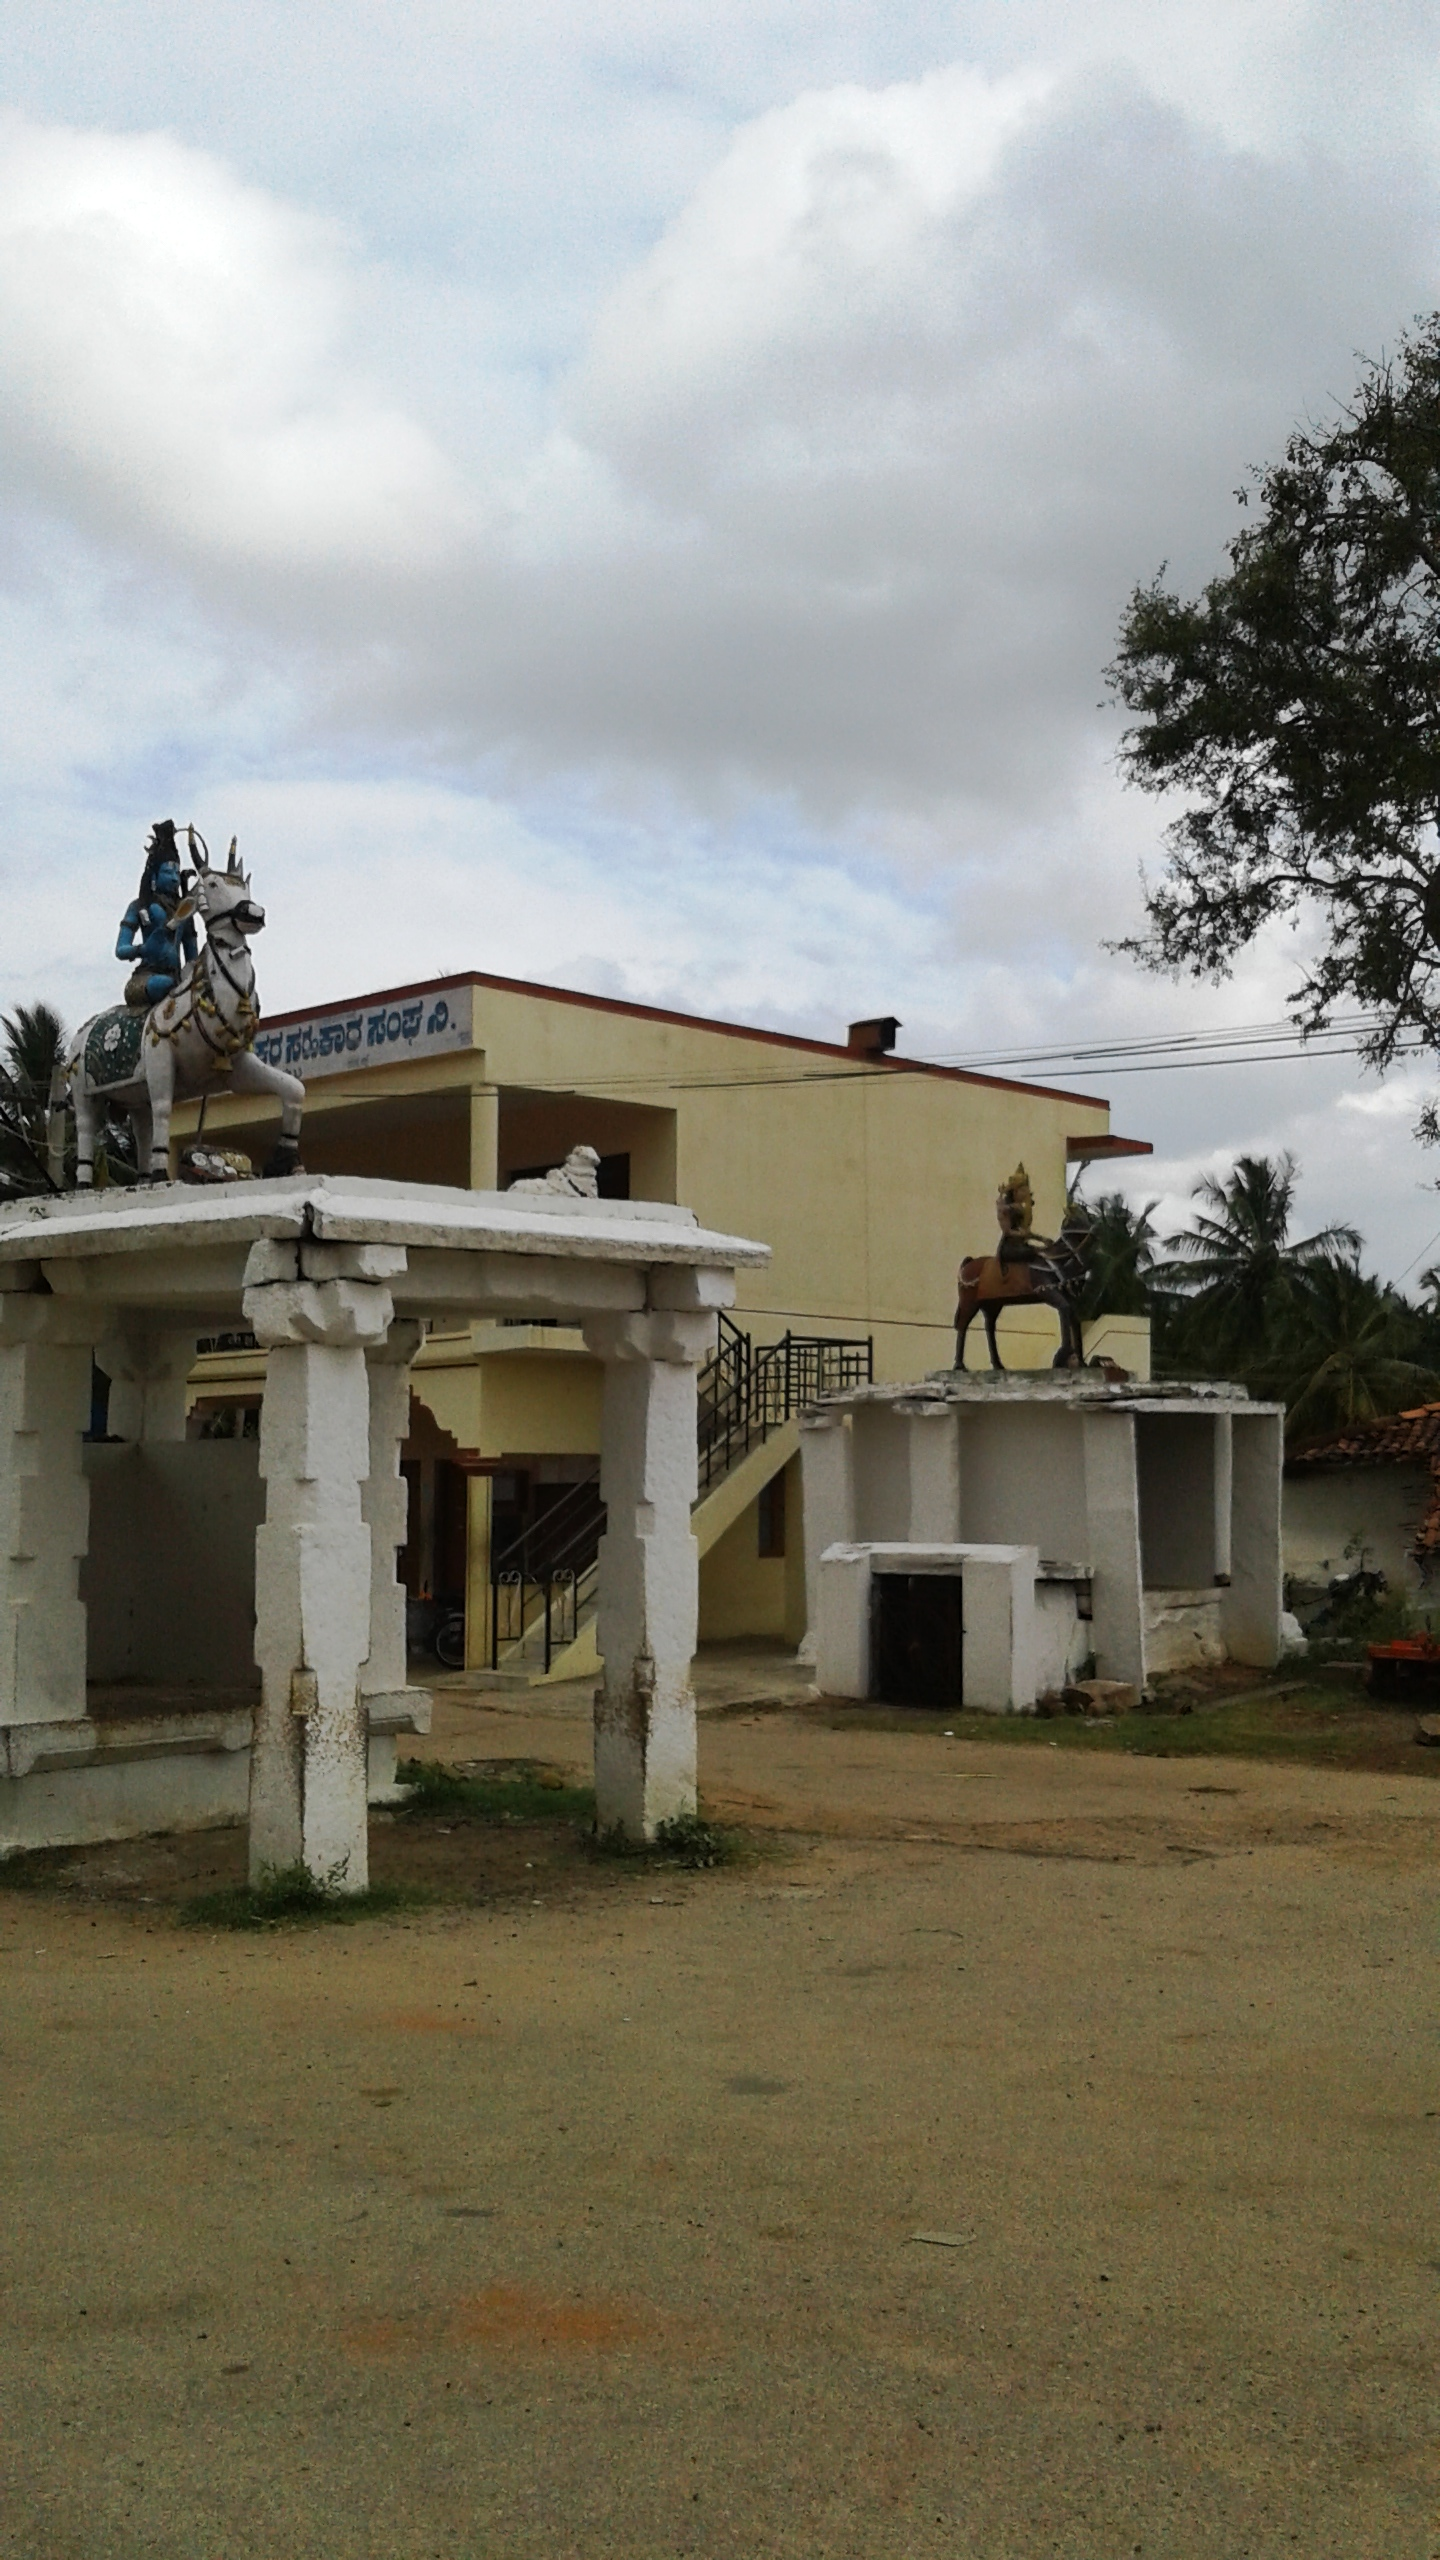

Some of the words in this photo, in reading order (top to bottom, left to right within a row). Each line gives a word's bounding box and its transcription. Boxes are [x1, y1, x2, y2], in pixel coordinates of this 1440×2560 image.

[277, 1011, 367, 1067] ಸಹಿಕಾರ
[360, 993, 461, 1055] ಸಂಘ ನಿ.